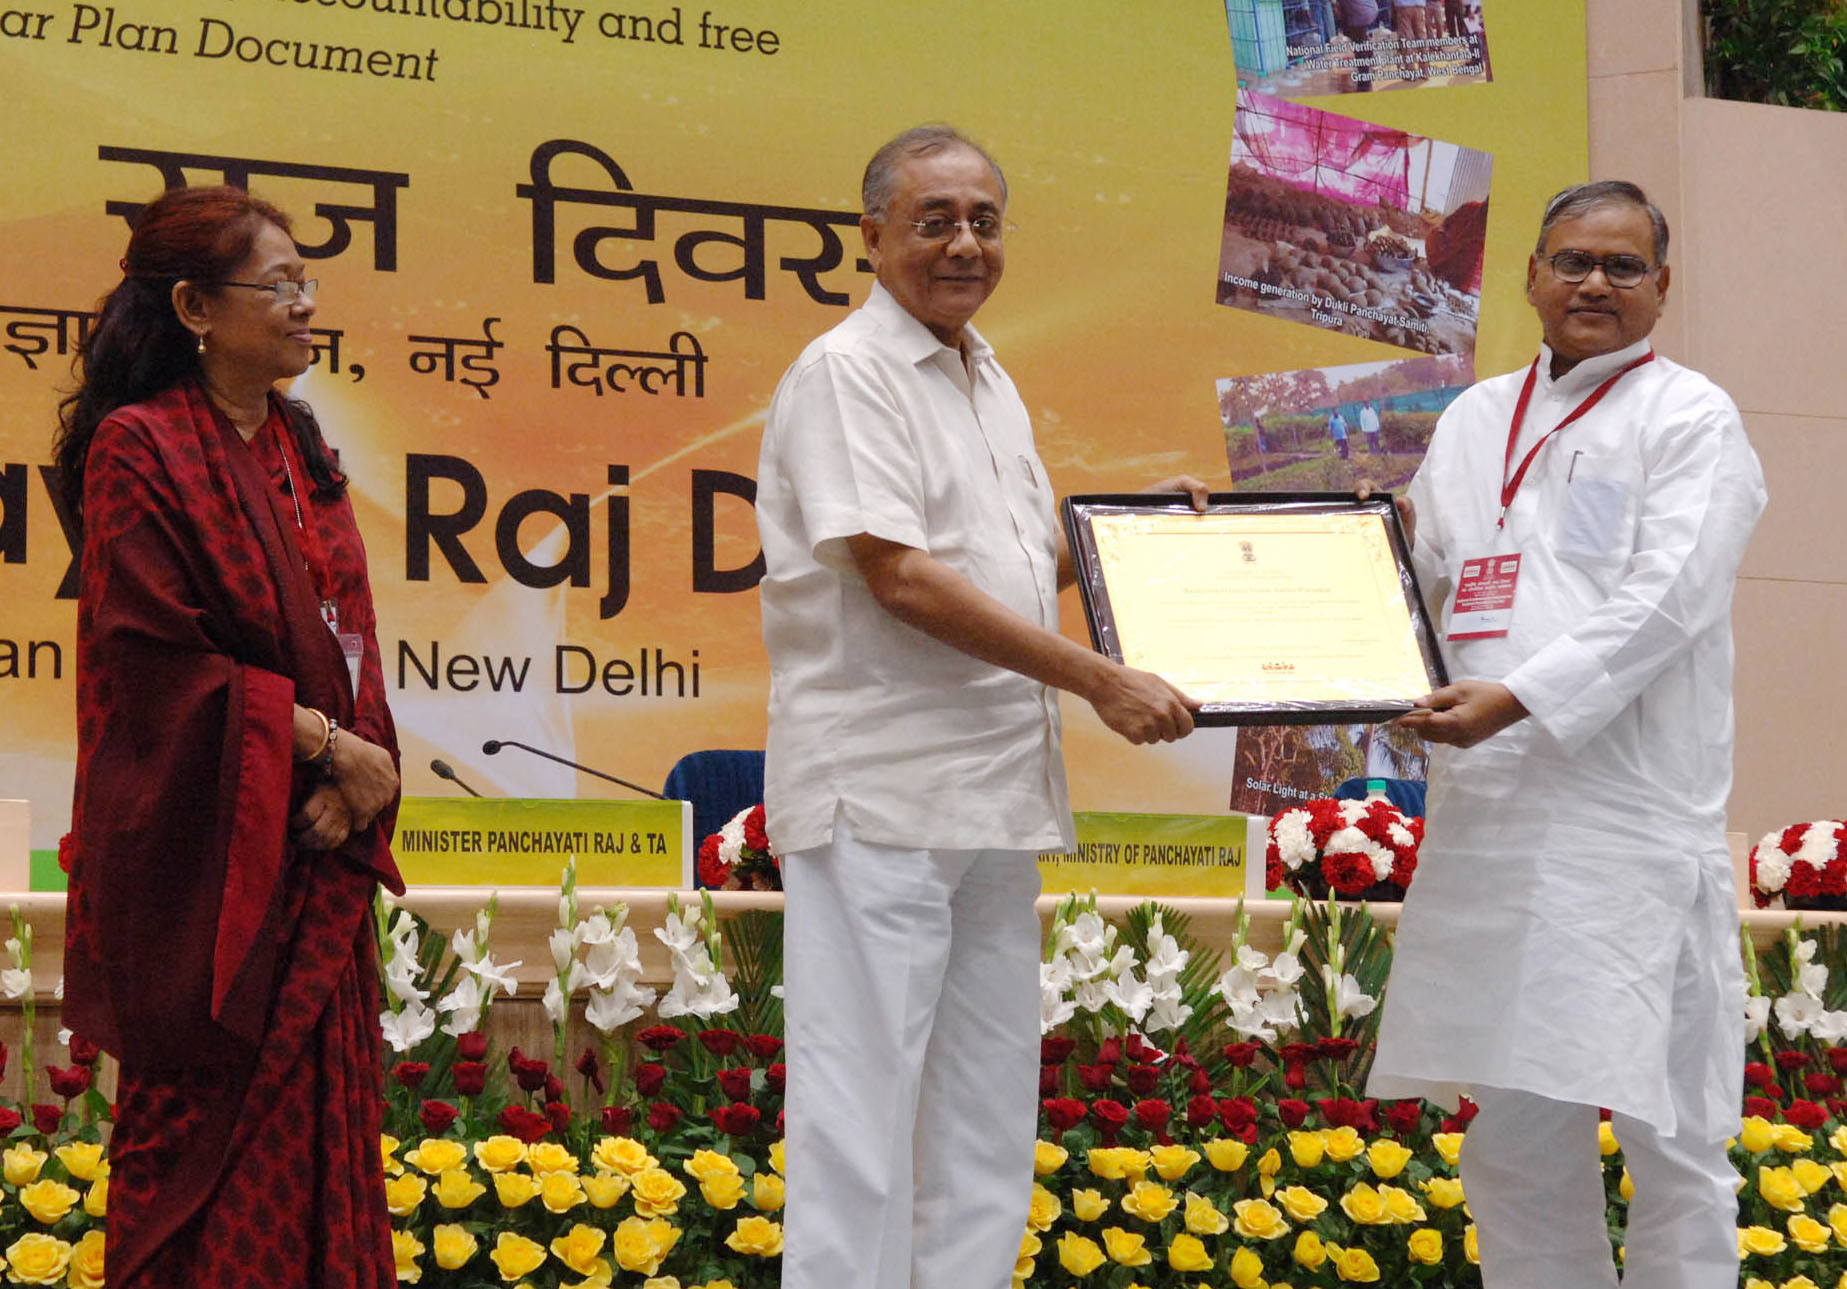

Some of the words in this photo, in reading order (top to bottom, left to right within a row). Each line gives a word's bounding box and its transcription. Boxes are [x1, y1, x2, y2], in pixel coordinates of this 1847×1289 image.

[0, 0, 56, 44] ar
[68, 0, 182, 58] Plan
[187, 12, 443, 86] Document
[588, 0, 686, 51] and
[689, 5, 787, 63] free
[96, 135, 417, 275] राज
[512, 133, 875, 331] दिवस्
[404, 307, 511, 405] नई
[537, 319, 714, 403] दिल्ली
[390, 436, 656, 622] Raj
[0, 622, 76, 694] an
[387, 634, 533, 697] New
[549, 636, 703, 704] Delhi
[399, 823, 486, 854] MINISTER
[485, 825, 591, 854] PANCHAYATI
[591, 824, 628, 857] RAJ
[624, 828, 644, 857] &
[642, 823, 671, 855] TA
[1057, 836, 1125, 867] NISTRY
[1117, 839, 1141, 868] OF
[1140, 839, 1221, 868] PANCHAYATI
[1214, 839, 1248, 869] RAJ